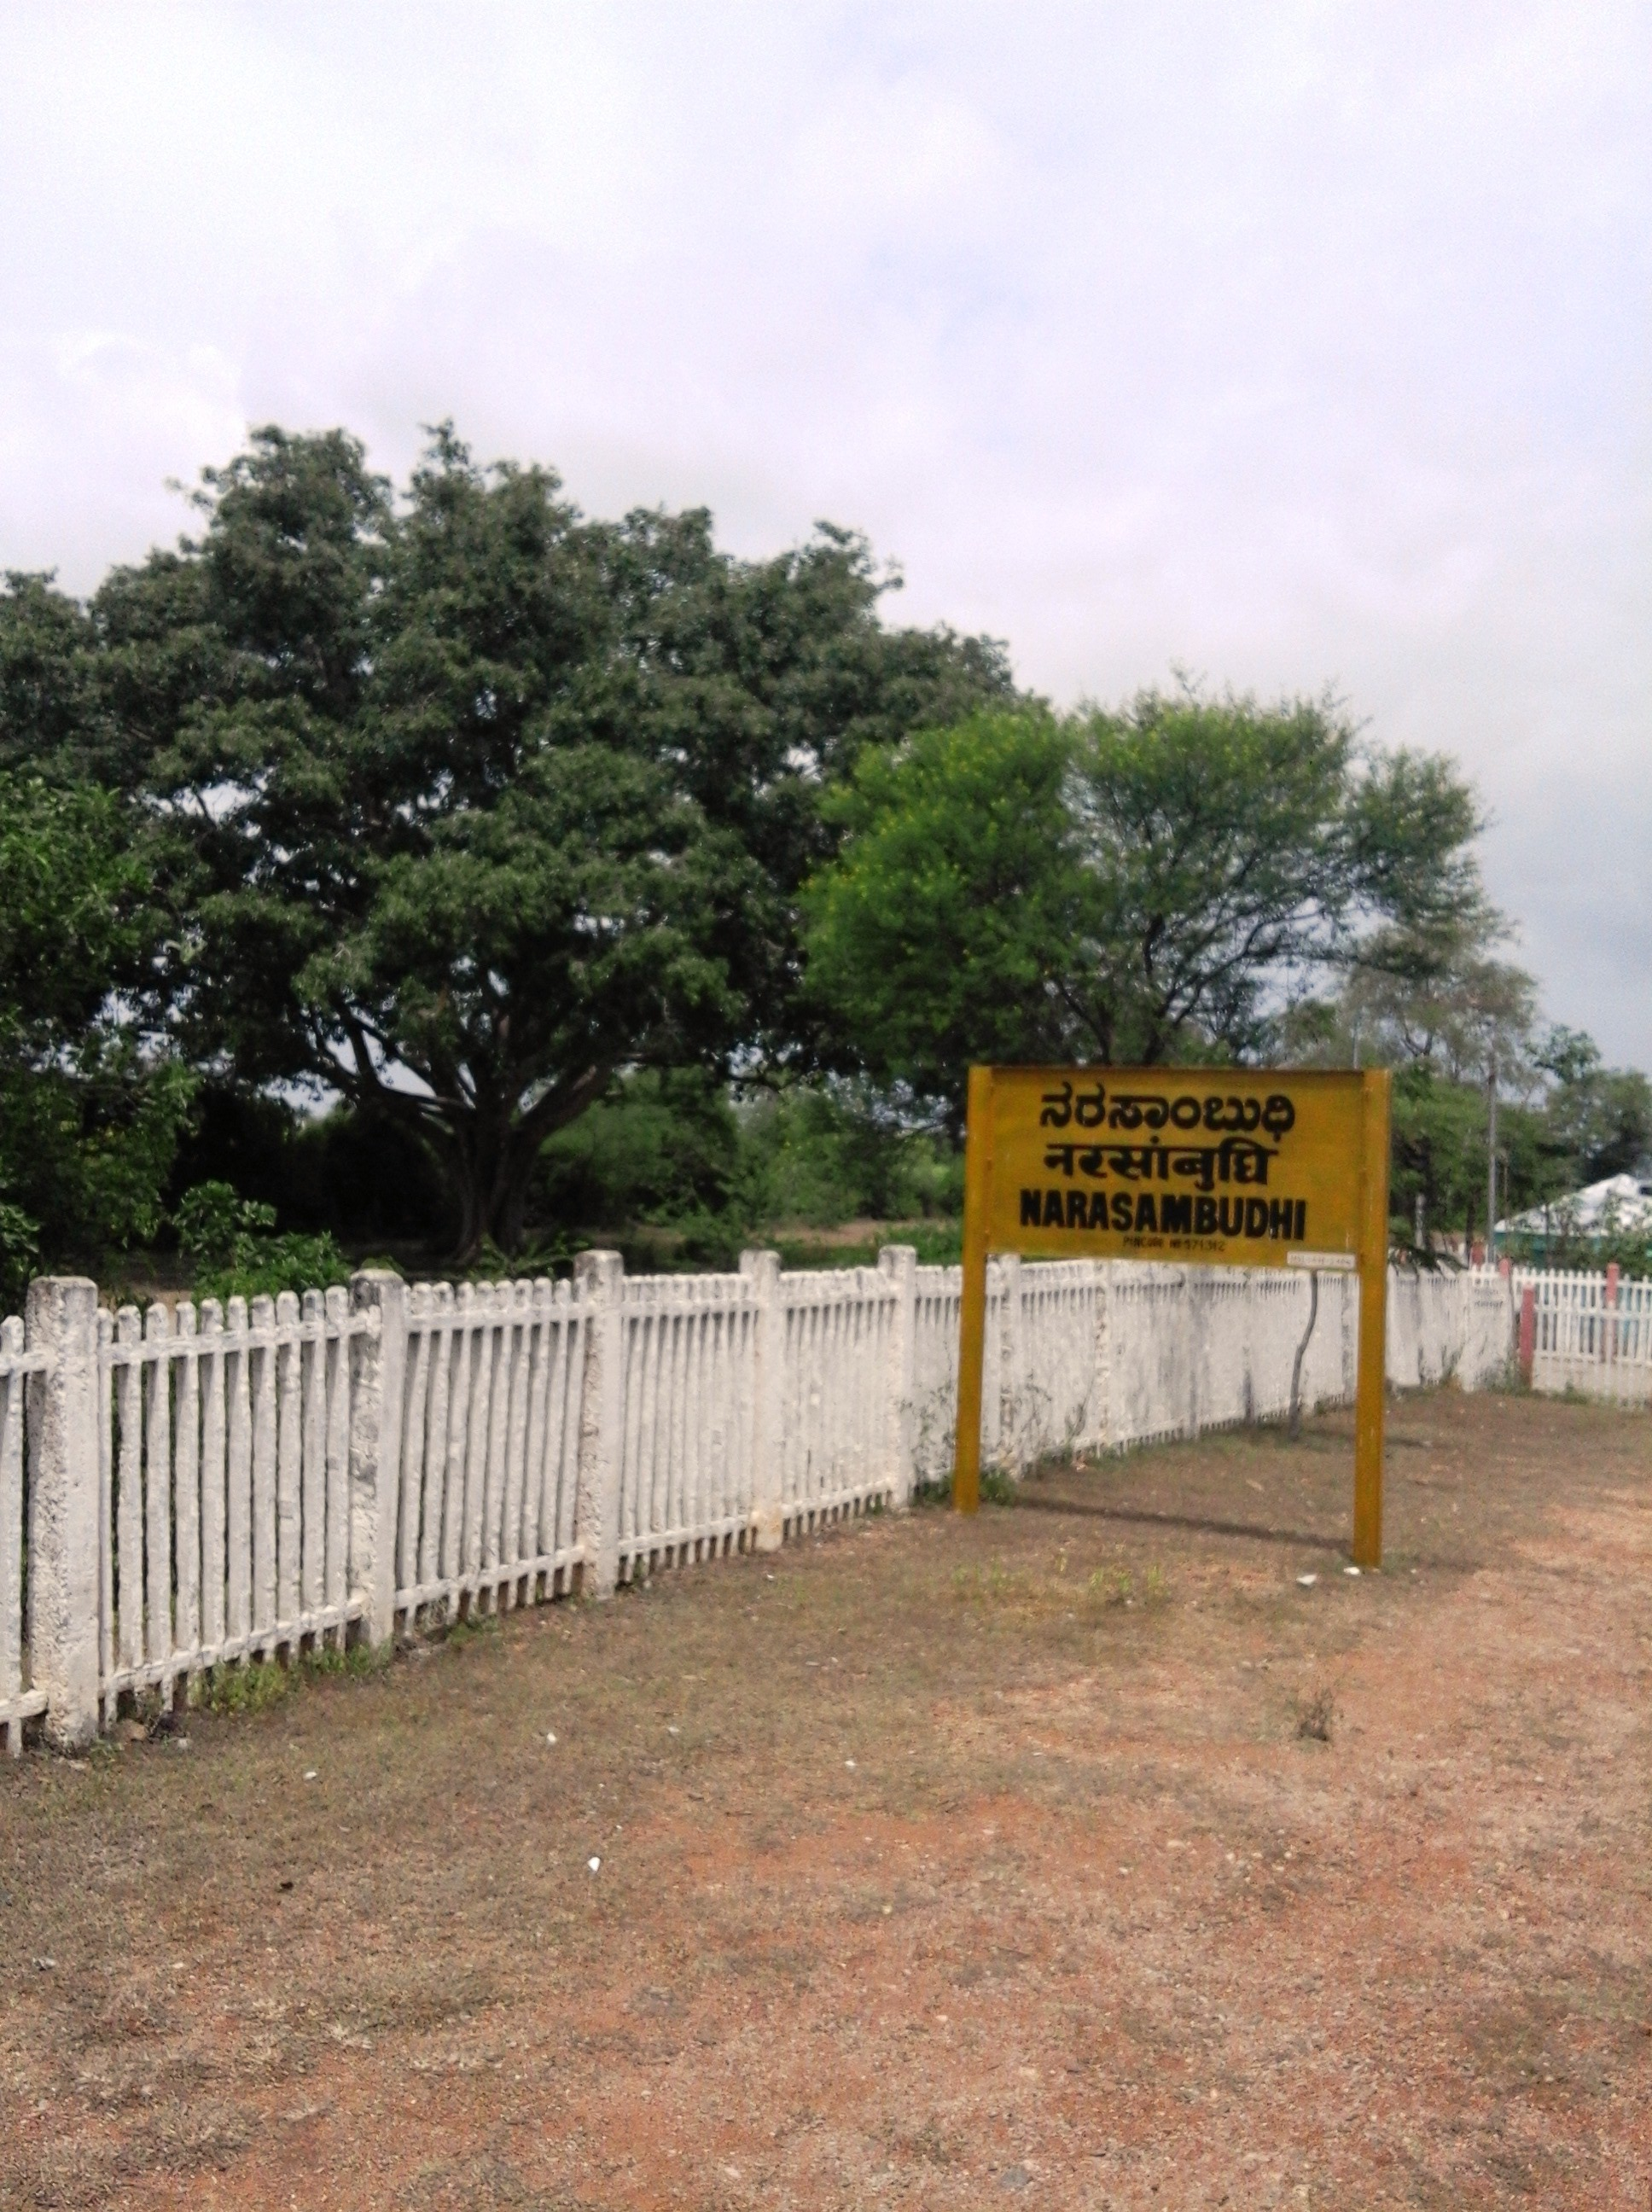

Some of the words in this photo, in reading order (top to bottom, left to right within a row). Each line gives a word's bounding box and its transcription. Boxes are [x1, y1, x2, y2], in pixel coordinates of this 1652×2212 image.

[1026, 1071, 1303, 1146] ನರಸಾಂಬುಧಿ
[1039, 1126, 1283, 1195] नरसांबुधि
[1013, 1186, 1310, 1246] NARASAMBUDHI